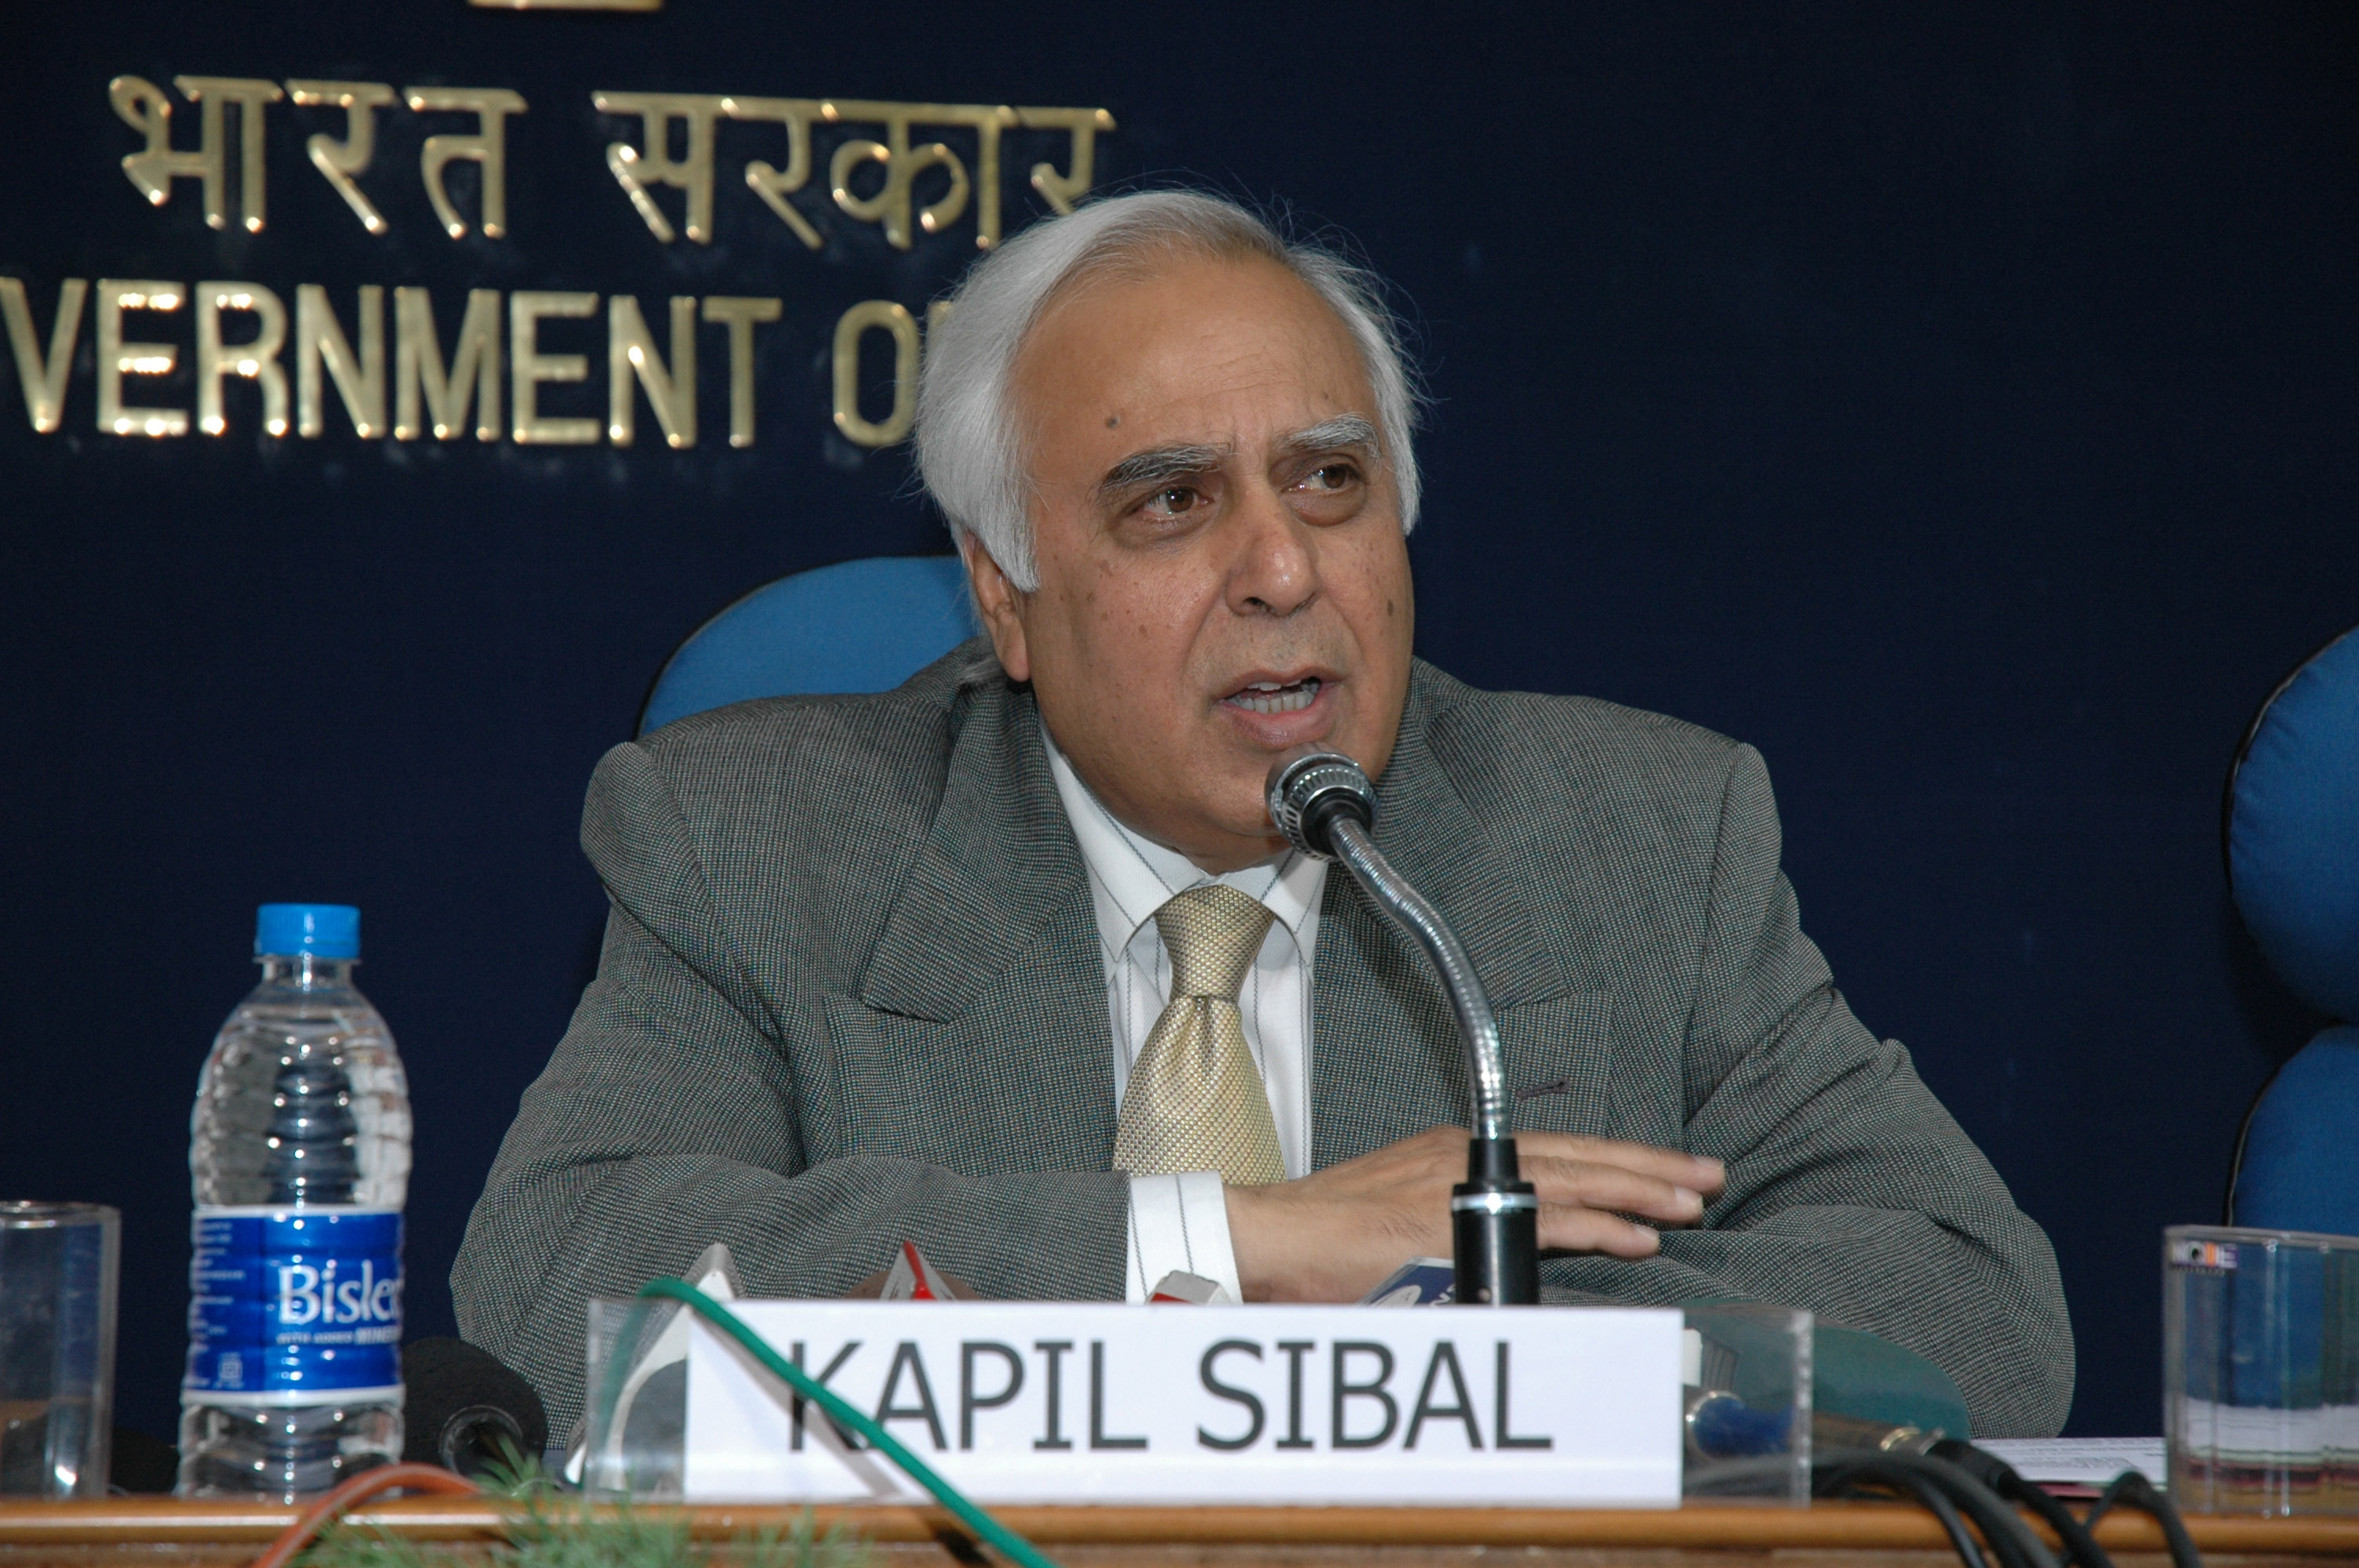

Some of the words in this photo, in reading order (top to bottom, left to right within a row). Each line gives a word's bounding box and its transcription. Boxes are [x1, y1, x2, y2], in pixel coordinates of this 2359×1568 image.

[98, 67, 534, 247] भारत
[584, 85, 1117, 258] सरकार
[9, 271, 781, 453] VERNMENT
[822, 296, 924, 454] O
[261, 1244, 405, 1336] Bisle
[767, 1331, 1143, 1461] KAPIL
[1187, 1322, 1562, 1463] SIBAL